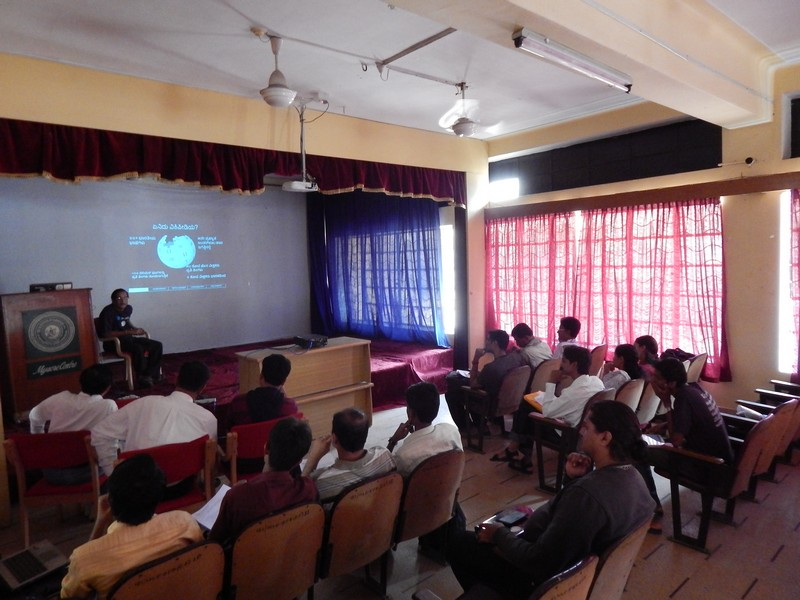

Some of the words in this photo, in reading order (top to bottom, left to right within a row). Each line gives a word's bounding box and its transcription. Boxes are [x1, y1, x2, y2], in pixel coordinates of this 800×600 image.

[166, 219, 201, 235] ಎಕಿಪೀಡಿಯ7